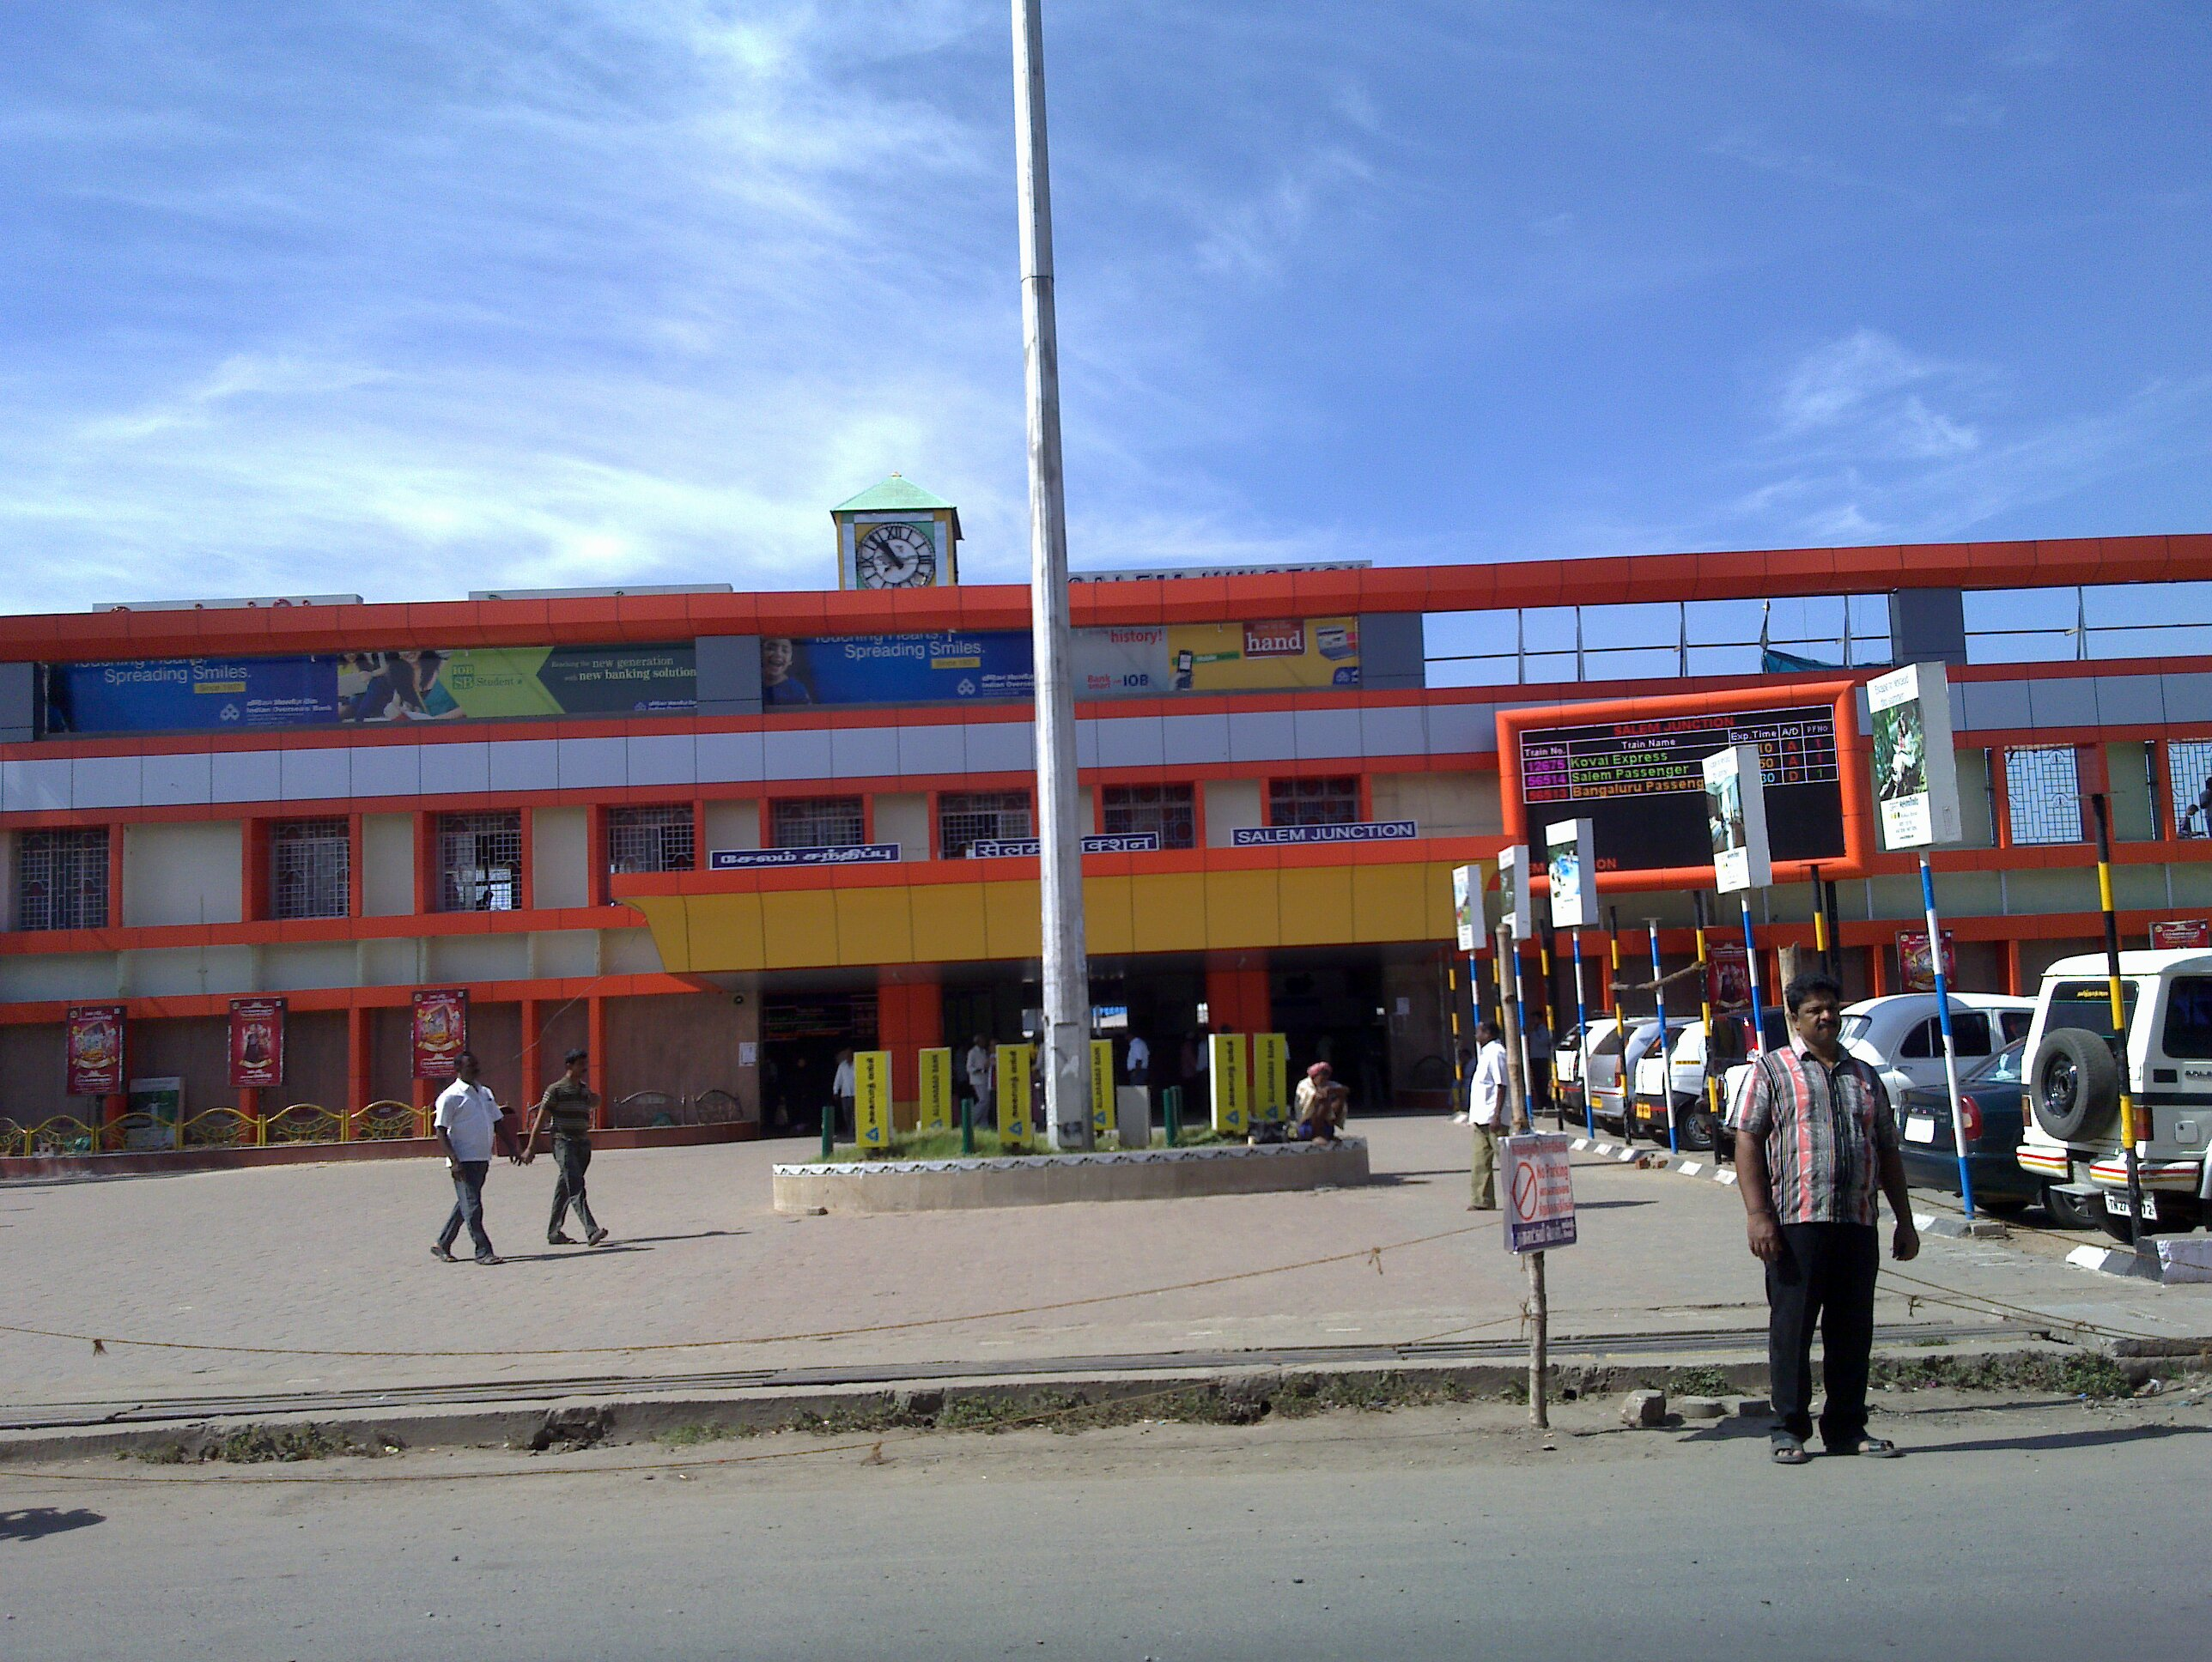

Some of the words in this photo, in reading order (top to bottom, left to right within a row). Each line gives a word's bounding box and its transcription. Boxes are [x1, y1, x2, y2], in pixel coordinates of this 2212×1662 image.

[839, 640, 928, 663] Spreading
[924, 638, 987, 660] Smiles.
[1105, 622, 1163, 648] history!
[1242, 626, 1303, 657] hand
[98, 661, 192, 688] Spreading
[187, 659, 252, 683] Smiles
[574, 669, 605, 684] new
[587, 656, 616, 671] new
[601, 666, 654, 683] banking
[613, 654, 678, 671] generation
[648, 661, 700, 681] solution
[1519, 744, 1551, 761] Train
[1548, 744, 1570, 761] No.
[1563, 751, 1612, 773] Koval
[1565, 767, 1613, 787] Salem
[1566, 778, 1646, 804] Bangaluru
[1616, 736, 1649, 755] Train
[1608, 719, 1664, 740] SALEM
[1607, 748, 1670, 771] Express
[1612, 762, 1692, 782] Passenger
[1644, 736, 1680, 752] Name
[1643, 775, 1706, 796] Passeng
[1660, 712, 1737, 733] JUNCTION
[1725, 727, 1780, 744] Exp.Time
[1234, 822, 1310, 848] SALEM
[1304, 822, 1416, 846] JUNCTION
[719, 846, 798, 867] சேலம்
[801, 841, 895, 865] சந்திப்பு
[976, 837, 1048, 860] सेलम
[1074, 834, 1154, 858] क्शन